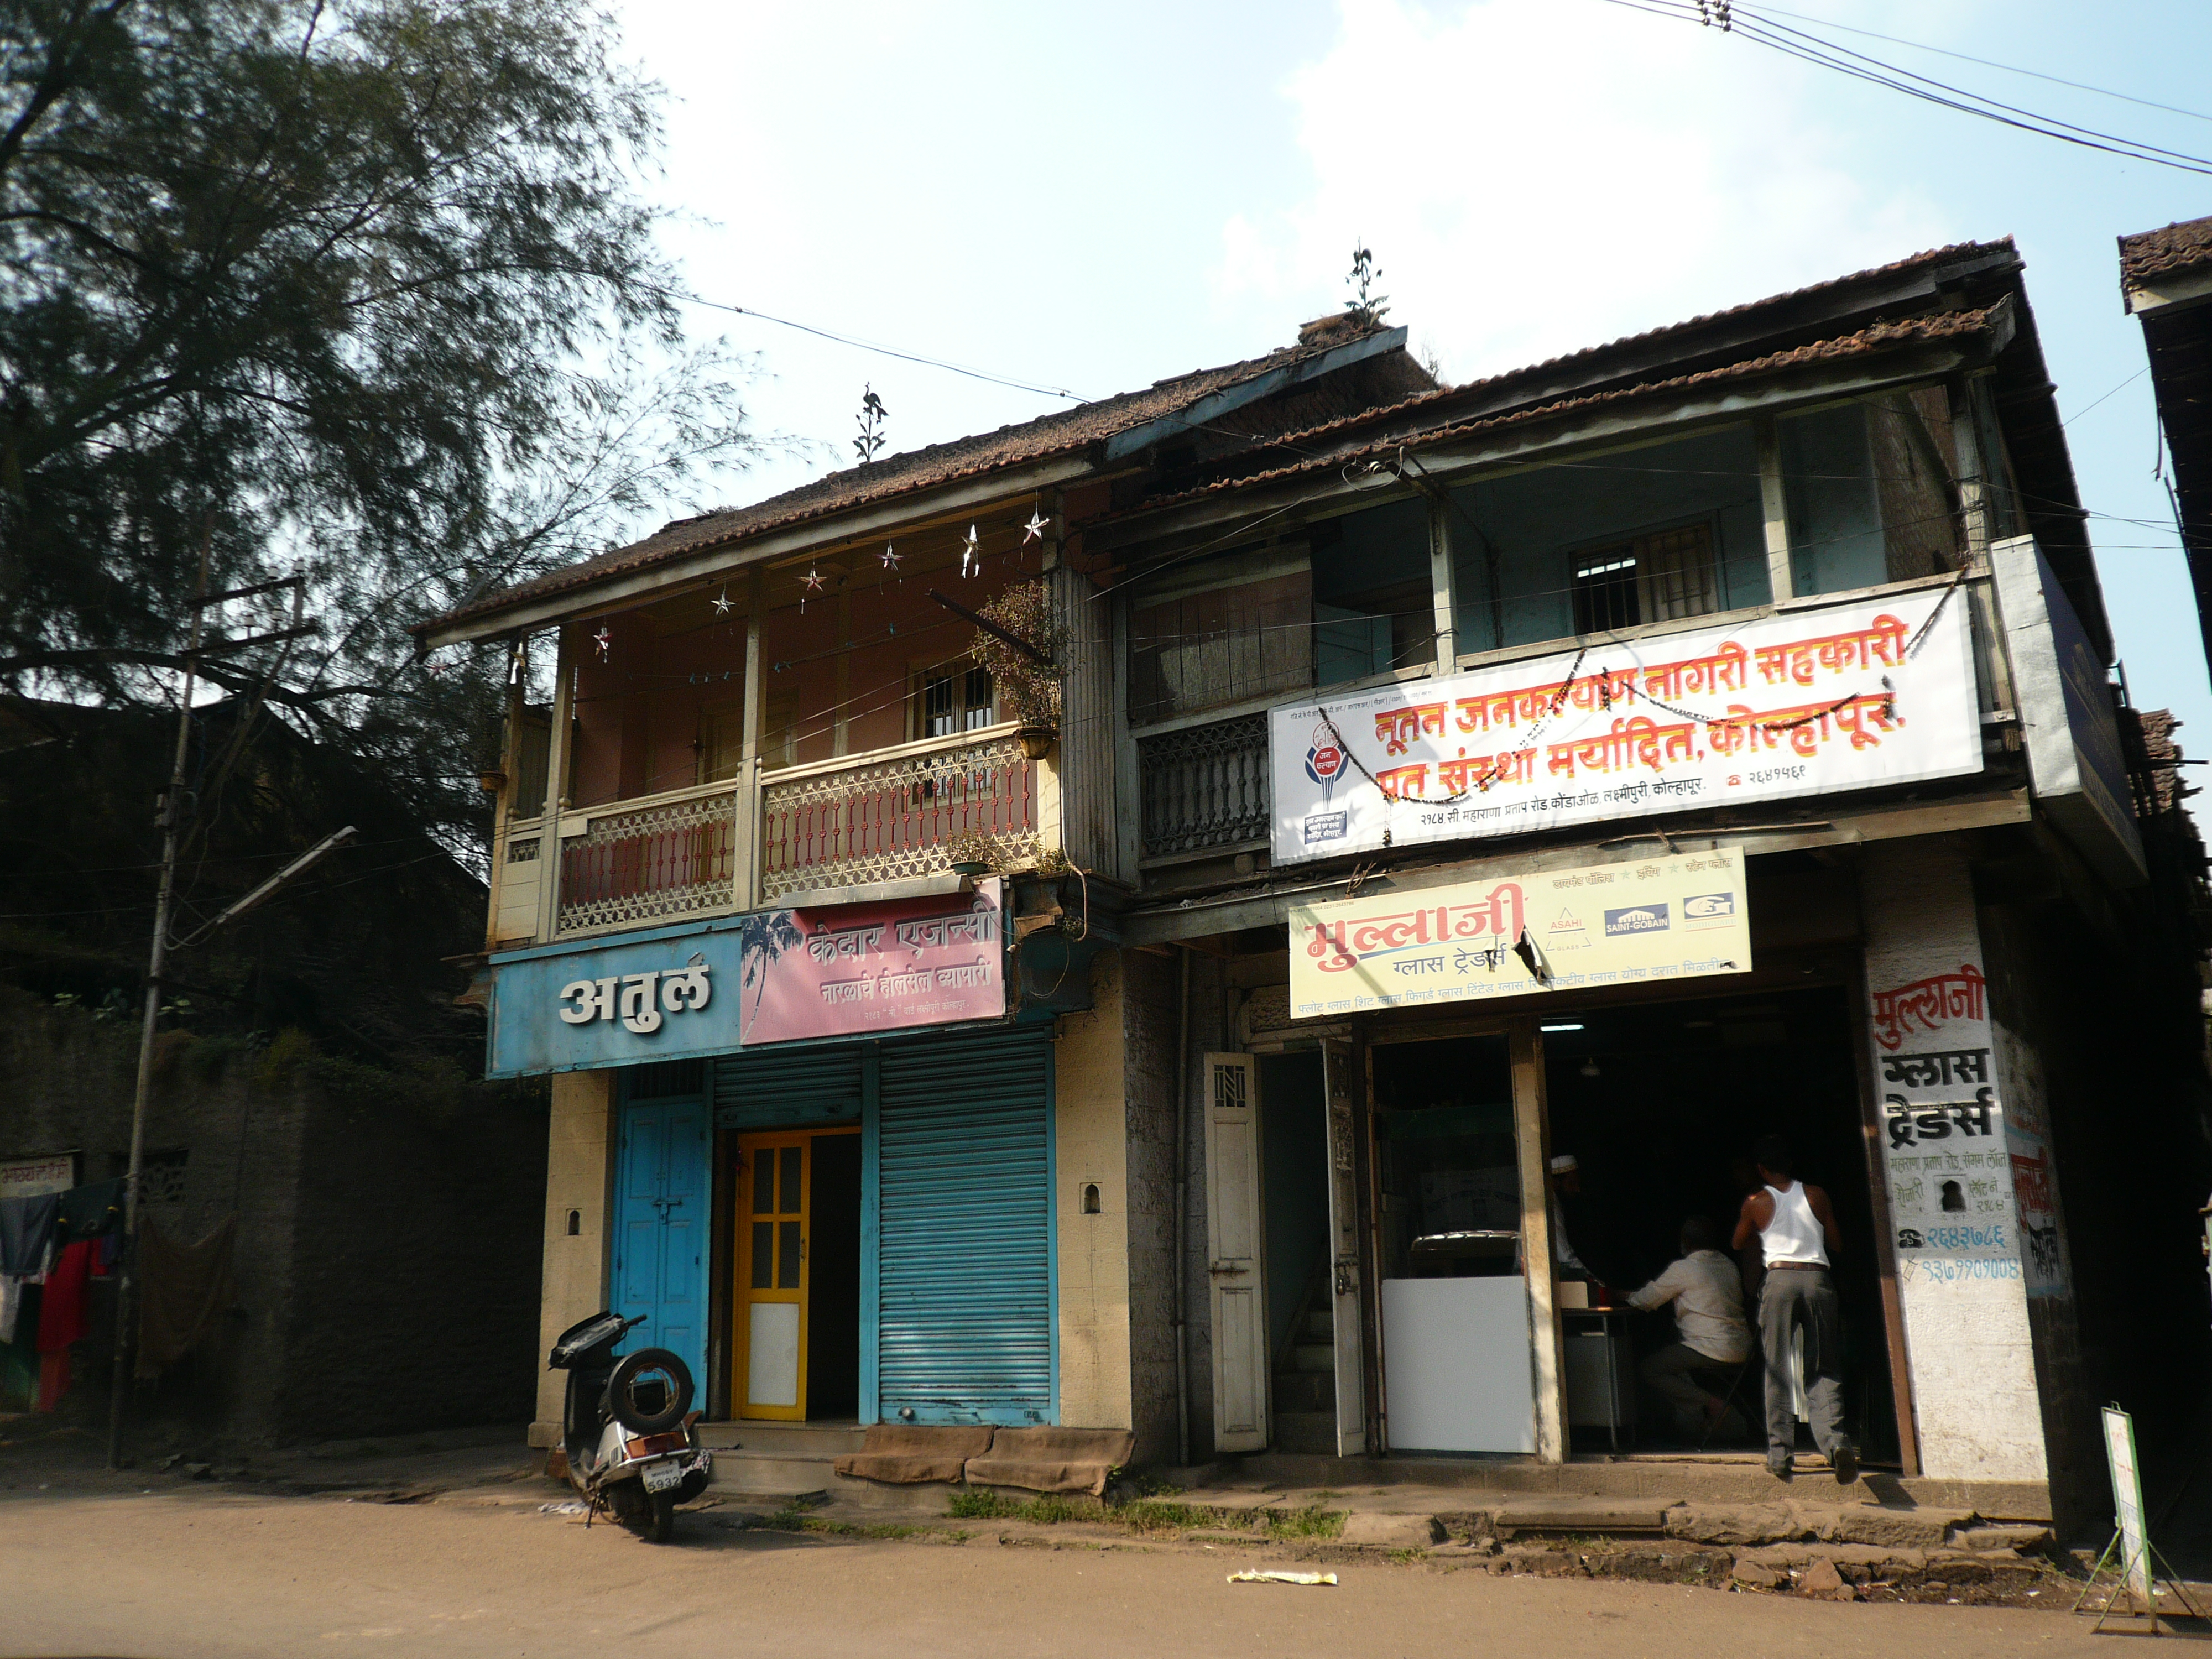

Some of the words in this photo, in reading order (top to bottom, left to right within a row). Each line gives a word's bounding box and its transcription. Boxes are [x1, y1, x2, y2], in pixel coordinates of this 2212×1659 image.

[1747, 609, 1916, 686] सहकारी
[1640, 635, 1752, 705] नागरी
[1455, 658, 1643, 739] जनकल्याण
[1370, 693, 1452, 757] नूतन
[1702, 688, 1913, 760] कोल्हापूर.
[1543, 707, 1697, 781] मर्यादित
[1370, 761, 1434, 806] पत
[1417, 804, 1465, 830] २१८४,सी,
[1459, 804, 1505, 826] महाराणा
[1436, 742, 1543, 800] संस्‍था
[1501, 798, 1533, 820] प्रताप
[1528, 795, 1552, 814] रोड,
[1546, 785, 1603, 810] कोंडाओळ
[1600, 775, 1654, 807] लक्ष्मीपुरी
[1647, 773, 1709, 800] कोल्हापूर.
[1747, 759, 1812, 787] २६४१५६९
[1546, 868, 1589, 893] डायमंड
[1580, 869, 1617, 890] पॉलिश
[1634, 859, 1665, 885] इचिंग
[1682, 854, 1710, 877] स्टेन
[1707, 855, 1736, 873] ग्लास
[890, 888, 1001, 963] एजन्सी
[1300, 878, 1531, 978] मुल्लाजी
[1547, 913, 1585, 935] ASAHI
[1603, 916, 1671, 935] SAINT-GOBAIN
[796, 916, 892, 971] केदार
[549, 958, 716, 1039] अतुल
[820, 967, 881, 1010] नारळाचे
[872, 957, 937, 1001] होलसेल
[898, 999, 919, 1019] वार्ड
[913, 996, 942, 1019] लक्ष्मीपूरी
[935, 991, 972, 1015] कोल्हापूर
[935, 951, 994, 992] व्यापारी
[1295, 994, 1327, 1016] फ्लोट
[1322, 994, 1356, 1017] ग्लास
[1350, 989, 1376, 1016] शिट
[1371, 990, 1405, 1008] ग्लास
[1399, 980, 1437, 1008] फिगर्ड
[1389, 951, 1450, 977] ग्लास
[1436, 983, 1470, 1001] ग्लास
[1445, 938, 1511, 979] ट्रेडर्स
[1459, 975, 1499, 999] टिंटेड
[1494, 976, 1528, 998] ग्लास
[1527, 968, 1588, 993] रिफ्लेकटीव
[1587, 966, 1620, 988] ग्लास
[1618, 961, 1650, 984] योग्य
[1646, 957, 1687, 983] दरात
[1677, 952, 1726, 978] मिळती
[1867, 958, 1996, 1059] मुल्लाजी
[1880, 1036, 1994, 1094] ग्लास
[1876, 1083, 2001, 1156] ट्रेडर्स
[1887, 1148, 1928, 1176] महाराणा
[1917, 1149, 1950, 1173] प्रताप
[1939, 1148, 1966, 1176] रोड,
[1957, 1148, 1987, 1171] संगम
[1981, 1140, 2012, 1175] लॉज
[1893, 1174, 1928, 1214] शेजारी
[1964, 1175, 2005, 1203] प्लॉट नं.
[1922, 1218, 2011, 1254] २६४३७८६
[1921, 1255, 2022, 1288] ९३७११०१००४